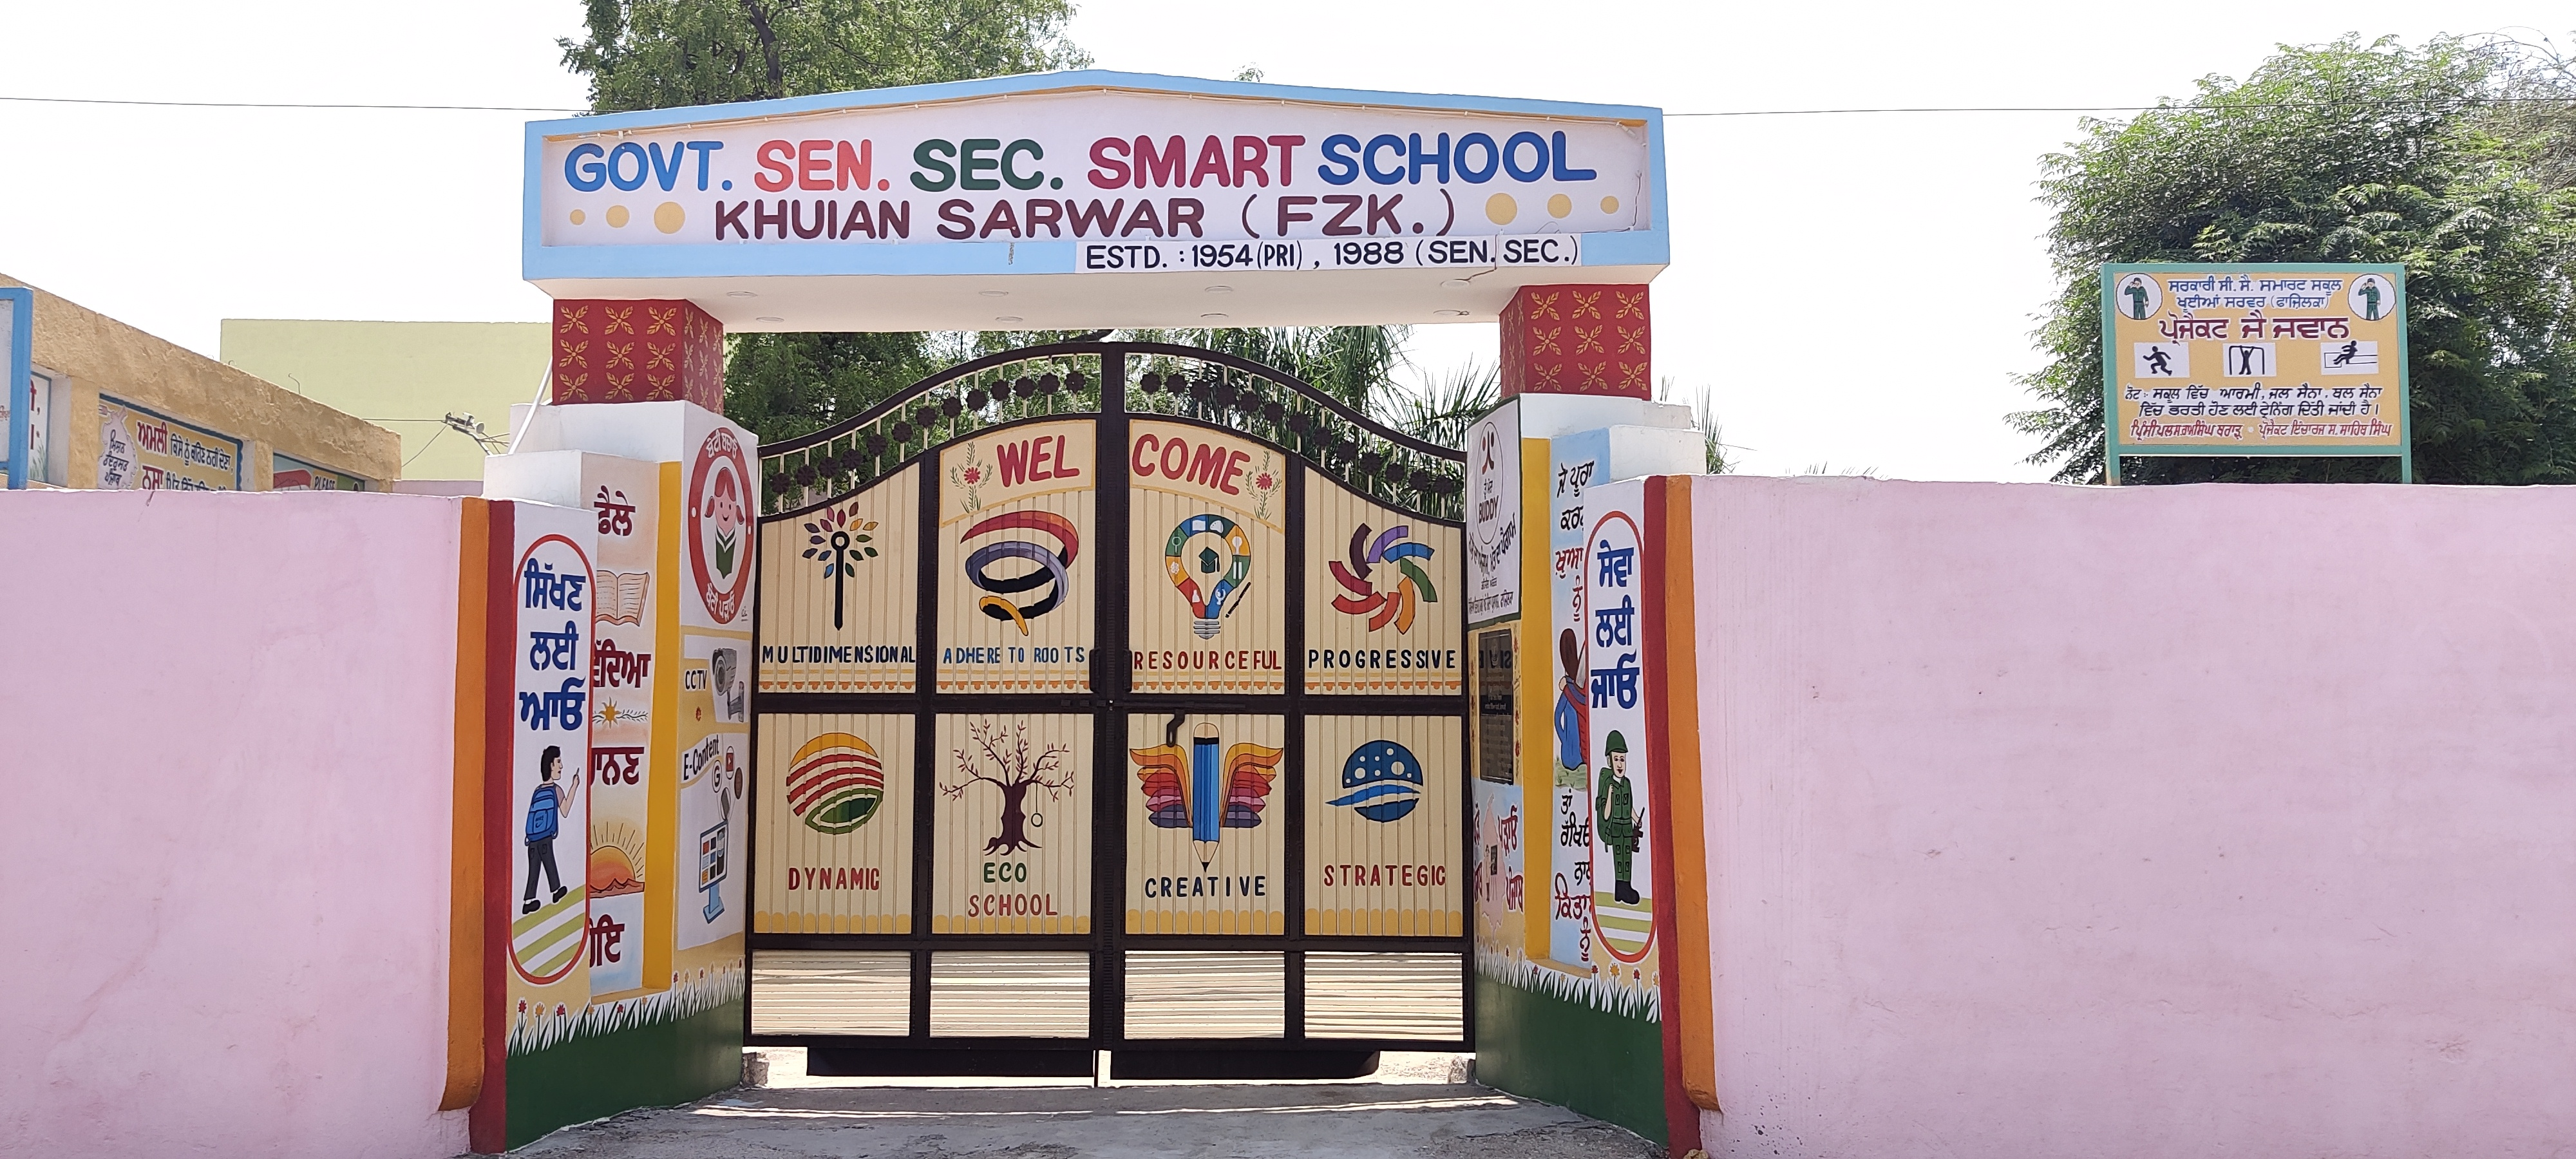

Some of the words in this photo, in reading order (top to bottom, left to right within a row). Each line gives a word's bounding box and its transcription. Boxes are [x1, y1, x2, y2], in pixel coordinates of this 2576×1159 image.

[554, 137, 744, 198] GOVT.
[750, 137, 898, 195] SEN.
[904, 131, 1074, 198] SEC.
[1077, 124, 1314, 194] SMART
[1309, 124, 1609, 189] SCHOOL
[707, 194, 917, 243] KHUIAN
[927, 192, 1217, 243] SARWAR
[1273, 191, 1445, 240] FZK.
[1079, 241, 1170, 274] ESTD.
[1189, 240, 1258, 270] 1954
[1261, 240, 1302, 268] PRI
[1330, 236, 1406, 269] 1988
[1422, 236, 1498, 267] SEN.
[1497, 233, 1575, 267] SEC.
[2165, 272, 2217, 296] ਸਰਕਾਰੀ
[2173, 292, 2222, 314] ਖੂਈਆਂ
[2216, 274, 2238, 292] ਸੀ.
[2221, 294, 2269, 310] ਸਰਵਰ
[2235, 272, 2257, 293] मै.
[2257, 277, 2309, 293] ਸਮਾਰਟ
[2273, 292, 2328, 311] ਫਾਜ਼ਿਲਕਾ
[2309, 276, 2346, 297] ਸਕੂਲ
[2157, 307, 2235, 350] ਪੋ੍ਜੈਕਟ
[2236, 310, 2270, 343] ਜੈ
[2269, 314, 2354, 343] ਜਵਾਨ
[2121, 382, 2143, 402] ਨੋਟ
[2134, 399, 2166, 418] ਵਿੱਚ
[2151, 383, 2184, 405] ਸਕੂਲ
[2164, 401, 2208, 418] ਭਰਤੀ
[2184, 381, 2214, 402] ਵਿੱਚ
[2206, 397, 2233, 419] ਹੋਣ
[2216, 378, 2264, 400] ਆਰਮੀ
[2231, 400, 2259, 418] ਲਈ
[2257, 399, 2296, 420] ਟੇ੍ਨਿਗ
[2266, 384, 2295, 400] ਜਲ
[2295, 379, 2324, 400] ਸੈਨਾ
[2294, 399, 2327, 418] ਦਿੱਤੀ
[2325, 399, 2360, 418] ਜਾਈ
[2329, 385, 2357, 400] ਥਲ
[2358, 398, 2375, 417] ਹੈ
[2356, 381, 2385, 399] ਸੈਨਾ
[131, 417, 171, 461] ਅਮਲੀ
[137, 462, 167, 493] ਨਸਾ
[169, 427, 185, 462] ਕਿਸੇ
[181, 435, 191, 468] ਨੂੰ
[191, 438, 207, 468] ਕਹਿਣ
[205, 442, 232, 473] ਨਰੀਂ ਦੇਣ
[990, 425, 1084, 493] WEL
[1128, 426, 1255, 502] COME
[1552, 459, 1569, 502] ਜੇ
[1568, 457, 1598, 500] ਪੂਹਾ
[2125, 417, 2216, 442] ਪ੍ਰਿੰਸੀਪਲਸਰਾਮਸਿੰਘ
[2214, 420, 2247, 441] ਥਰਾੜ
[2256, 417, 2291, 442] ਪ੍ਰੋਜੈਕਟ
[2287, 418, 2327, 438] ਇੰਚਾਰਜ਼
[2325, 419, 2340, 440] म.
[2338, 418, 2369, 439] ਸਾਹਿਥ
[2368, 418, 2398, 438] ਸਿੰਘ
[589, 481, 642, 539] ਫੈਲੇ
[1474, 493, 1501, 525] BUDDY
[1556, 502, 1585, 537] ਕਰ
[1549, 540, 1586, 583] ਖ਼ੁਆ
[1593, 534, 1638, 594] ਸੇਵਾ
[516, 554, 592, 617] ਸਿੱਖਣ
[1565, 572, 1584, 627] ਨੂੰ
[1587, 590, 1640, 657] ਲਈ
[520, 617, 586, 675] ਲਈ
[592, 634, 654, 696] ਦਿਆ
[679, 667, 711, 697] CCTV
[759, 643, 917, 666] MULTIDIMENSIONAL
[937, 646, 1003, 666] ADHERE
[1005, 643, 1026, 665] TO
[1030, 645, 1062, 665] ROO
[1061, 643, 1088, 666] TS
[1132, 646, 1285, 673] RESOURCEFUL
[1304, 646, 1457, 672] PROGRESSIVE
[1588, 644, 1644, 714] ਜਾਓ
[516, 673, 589, 737] ਆਓ
[589, 742, 650, 793] ਨਣ
[679, 732, 723, 783] E-Content
[708, 759, 726, 791] G
[1557, 786, 1577, 819] ਤਾਂ
[1493, 800, 1526, 856] ਪੜਾਓ
[1555, 809, 1593, 851] ਰੱਖਿ
[785, 864, 880, 894] DYNAMIC
[978, 855, 1031, 887] ECO
[965, 890, 1059, 921] SCHOOL
[1141, 871, 1269, 901] CREATIVE
[1319, 862, 1446, 893] STRATEGIC
[1501, 863, 1526, 913] ਪੰਜਾਬ
[1551, 866, 1593, 926] ਕਿਤਾ
[1568, 855, 1591, 889] ਨਾ
[589, 910, 631, 977] ਇ
[1572, 914, 1593, 966] ਨੂੰ